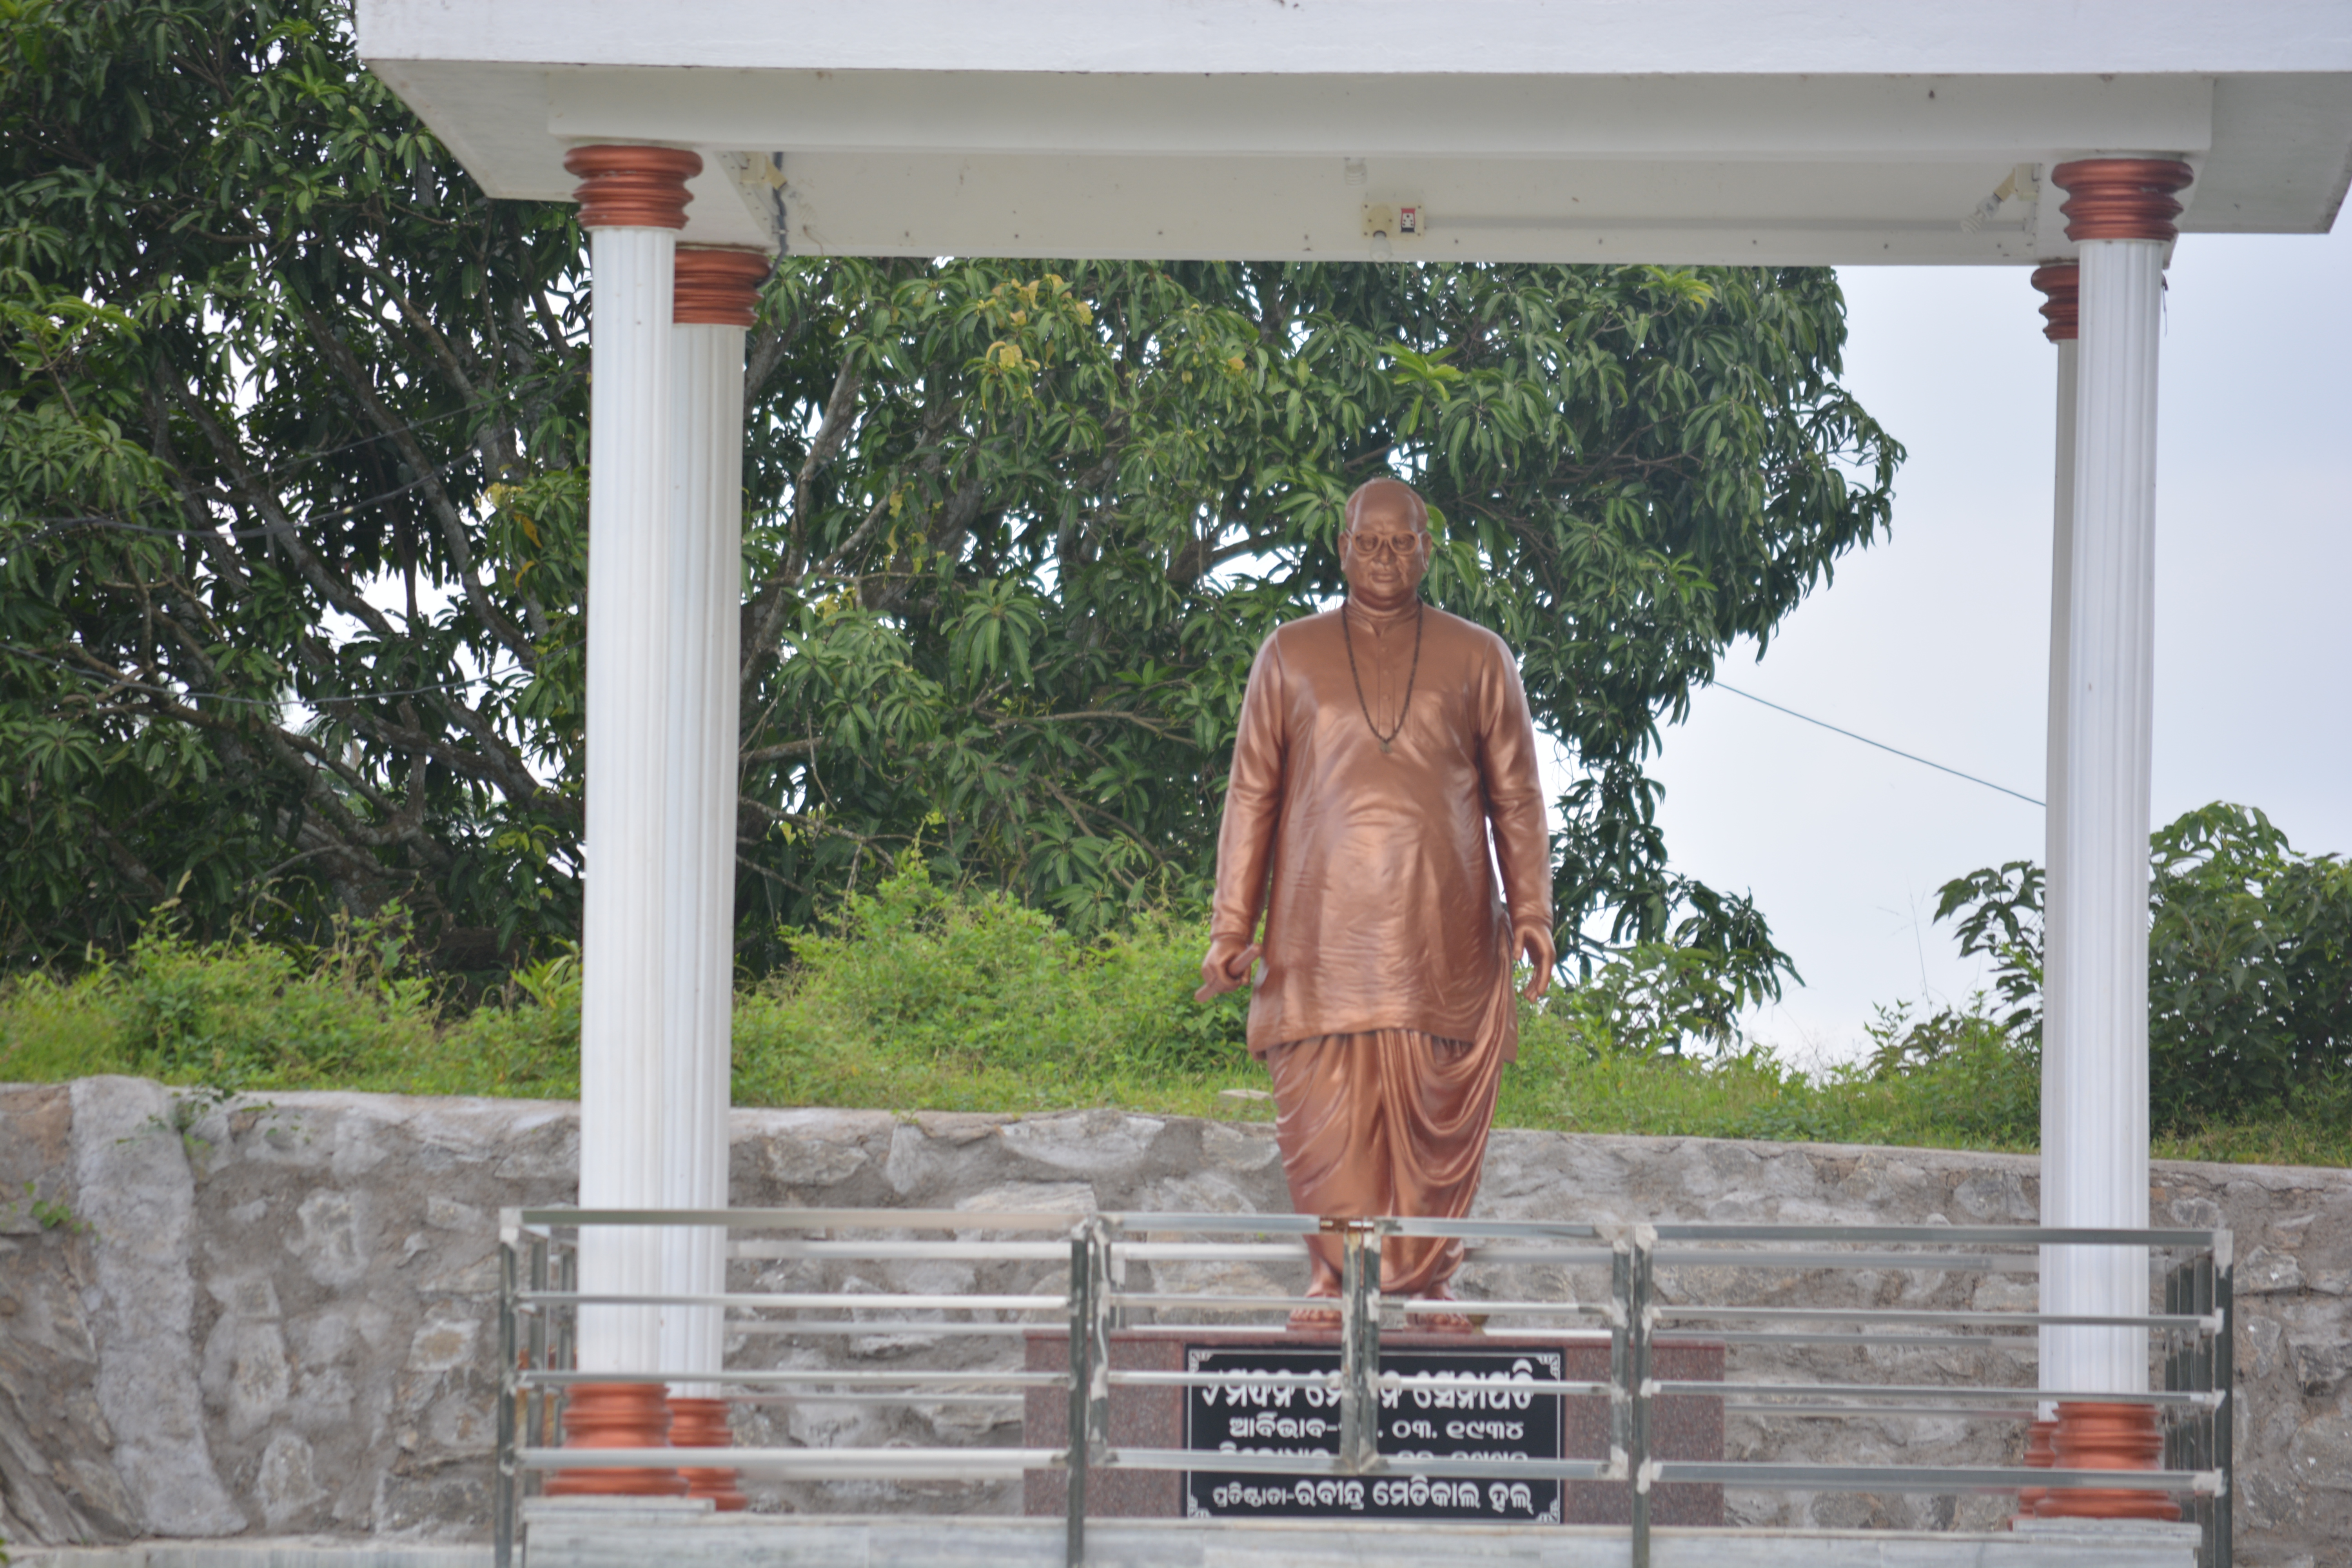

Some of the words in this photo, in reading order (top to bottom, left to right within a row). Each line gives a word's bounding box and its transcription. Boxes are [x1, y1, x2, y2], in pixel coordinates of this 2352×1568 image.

[1412, 1355, 1537, 1412] ସେନାପତି
[1222, 1408, 1330, 1442] ଆର୍ବିଭାବ
[1389, 1414, 1444, 1445] ୦୩,
[1443, 1416, 1525, 1443] ୧୯୩୪
[1207, 1476, 1289, 1511] ପ୍ରତିଷ୍ଠାତା
[1294, 1477, 1366, 1512] ରବୀନ୍ଦ୍ର
[1367, 1469, 1482, 1510] ମେଡିକାଲ
[1478, 1476, 1548, 1521] ହଲ୍